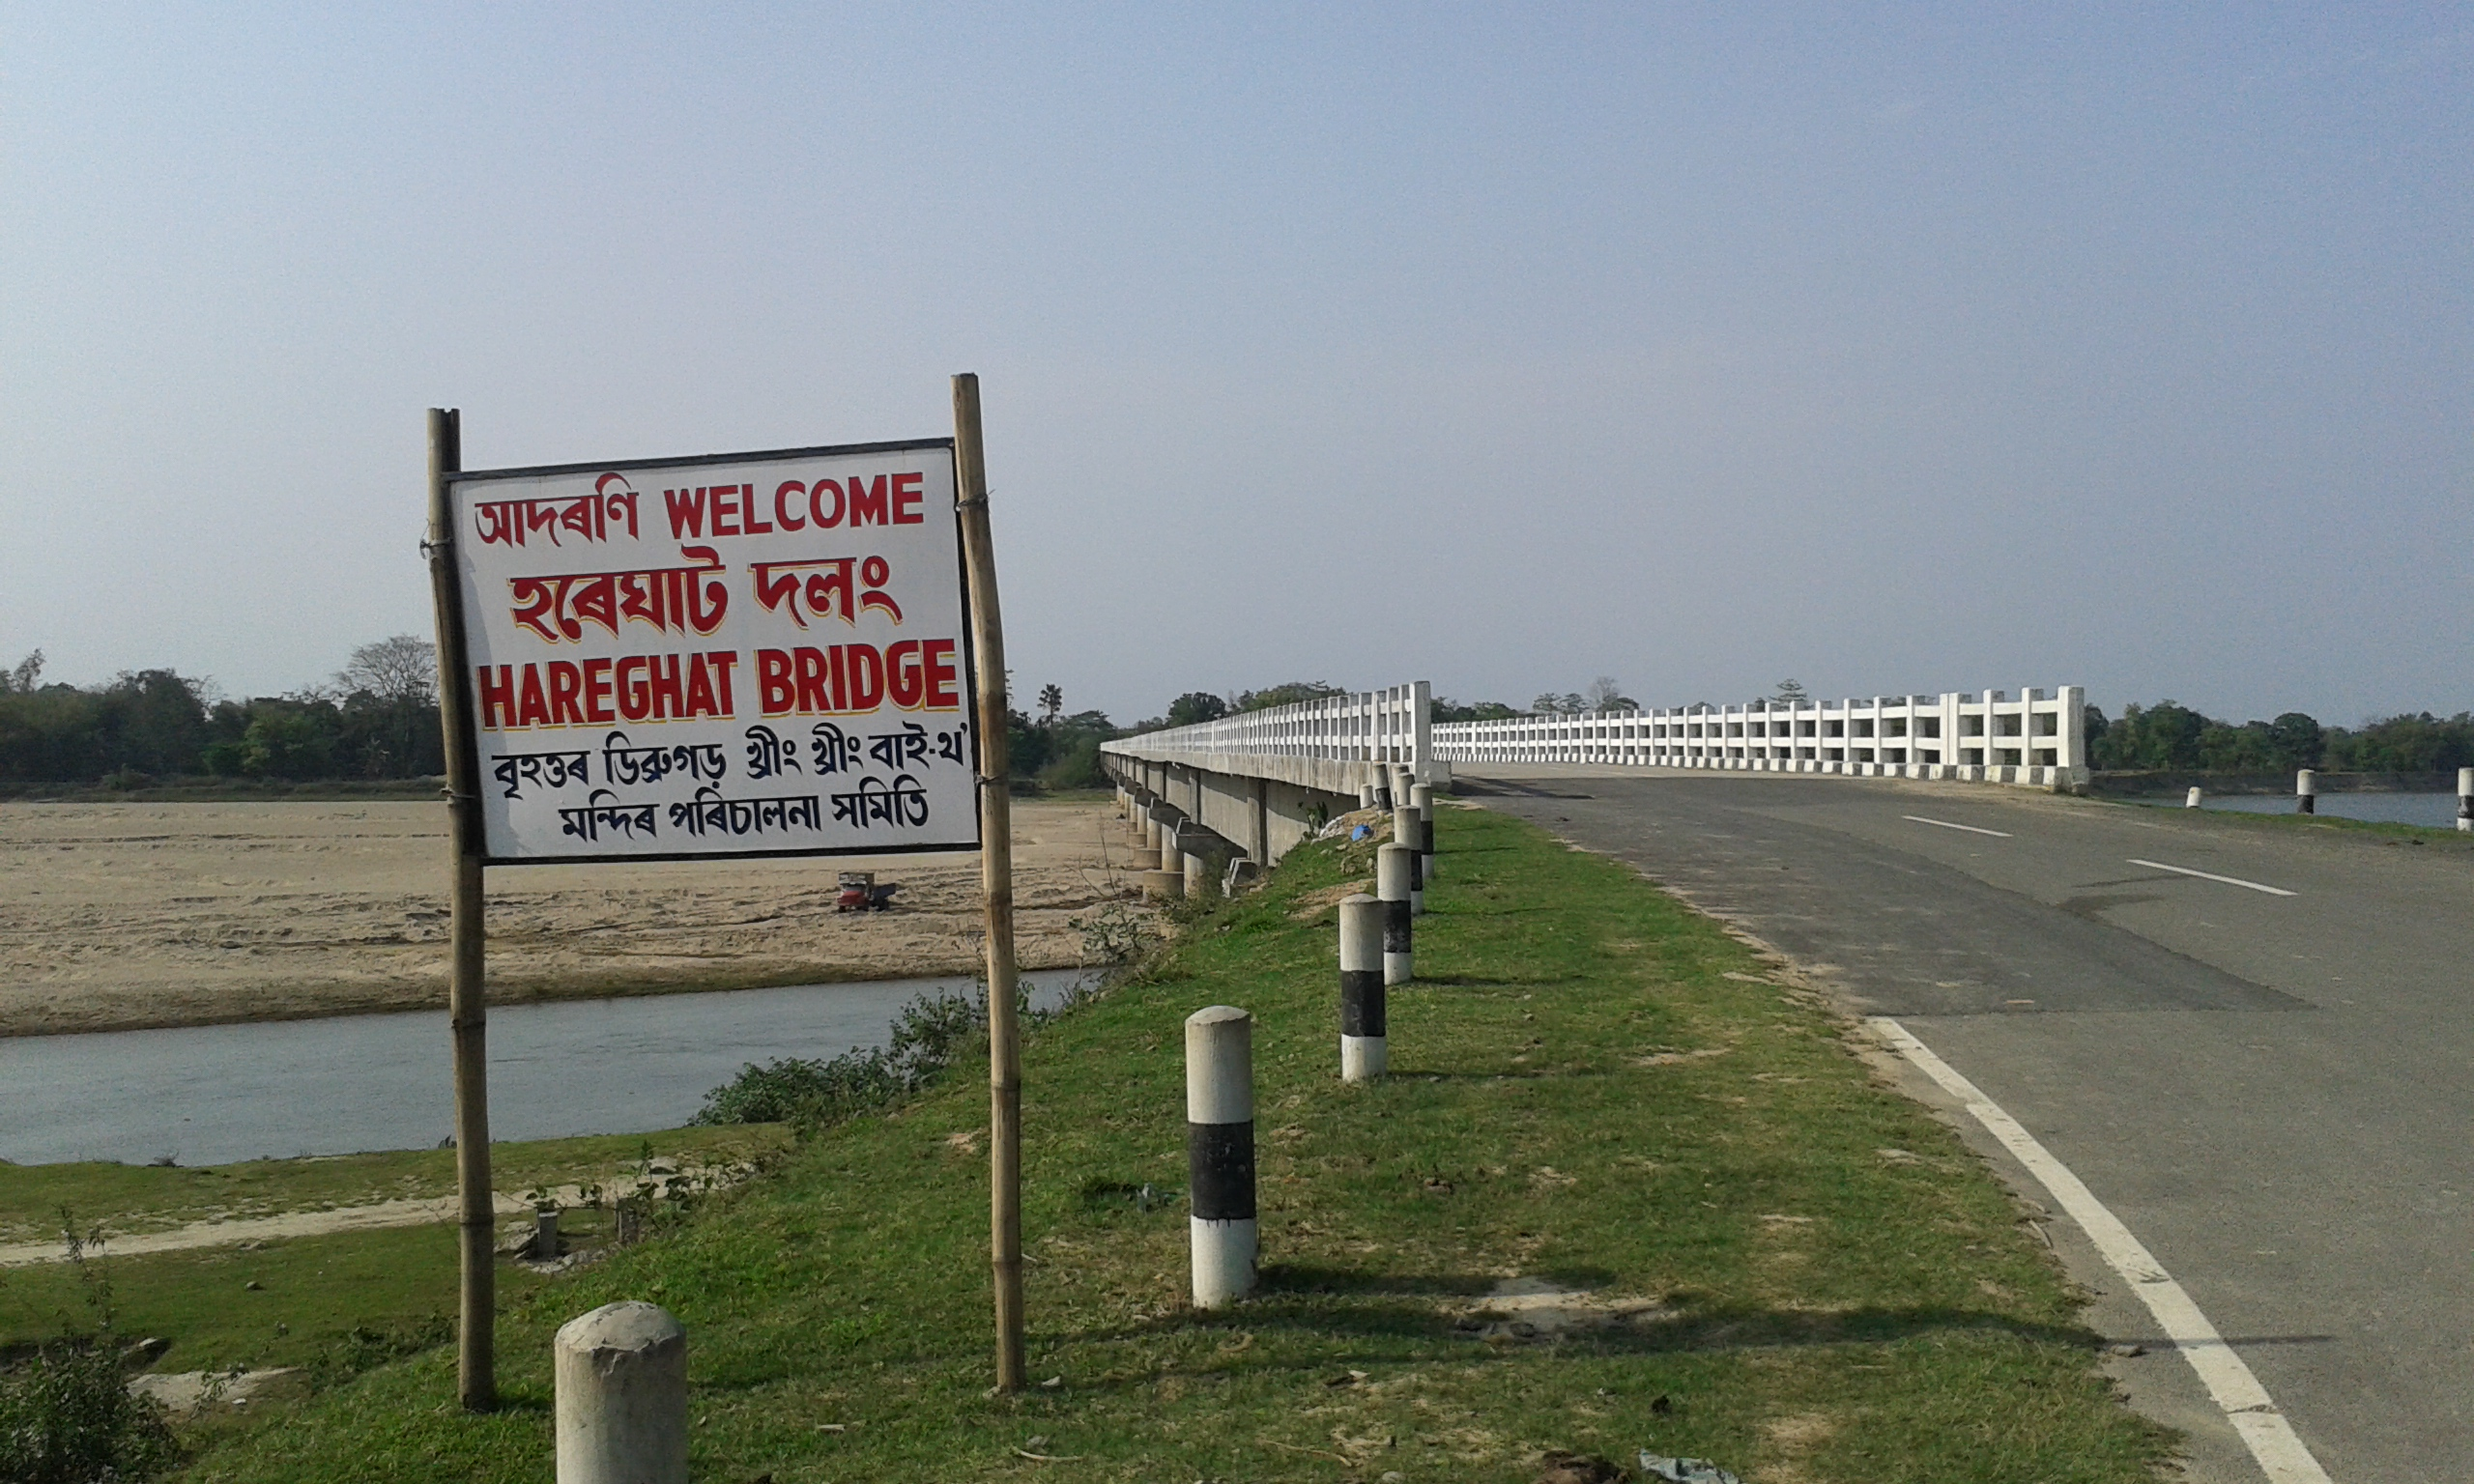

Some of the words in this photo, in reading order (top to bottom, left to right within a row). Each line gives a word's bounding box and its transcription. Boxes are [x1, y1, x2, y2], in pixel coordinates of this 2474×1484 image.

[470, 464, 646, 555] আদৰণি
[660, 464, 930, 544] WELCOME
[503, 536, 732, 651] হৰেঘাট
[748, 544, 907, 631] দলং
[475, 640, 745, 734] HAREGHAT
[752, 628, 966, 721] BRIDGE
[486, 744, 592, 805] বৃহত্তৰ
[554, 779, 661, 844] মন্দিৰ
[598, 724, 732, 794] ডিব্রুগড়
[663, 777, 825, 841] পৰিচালনা
[734, 718, 807, 788] খ্রীং
[824, 770, 932, 835] সমিতি
[800, 710, 967, 782] খ্ৰীংবাই-থ